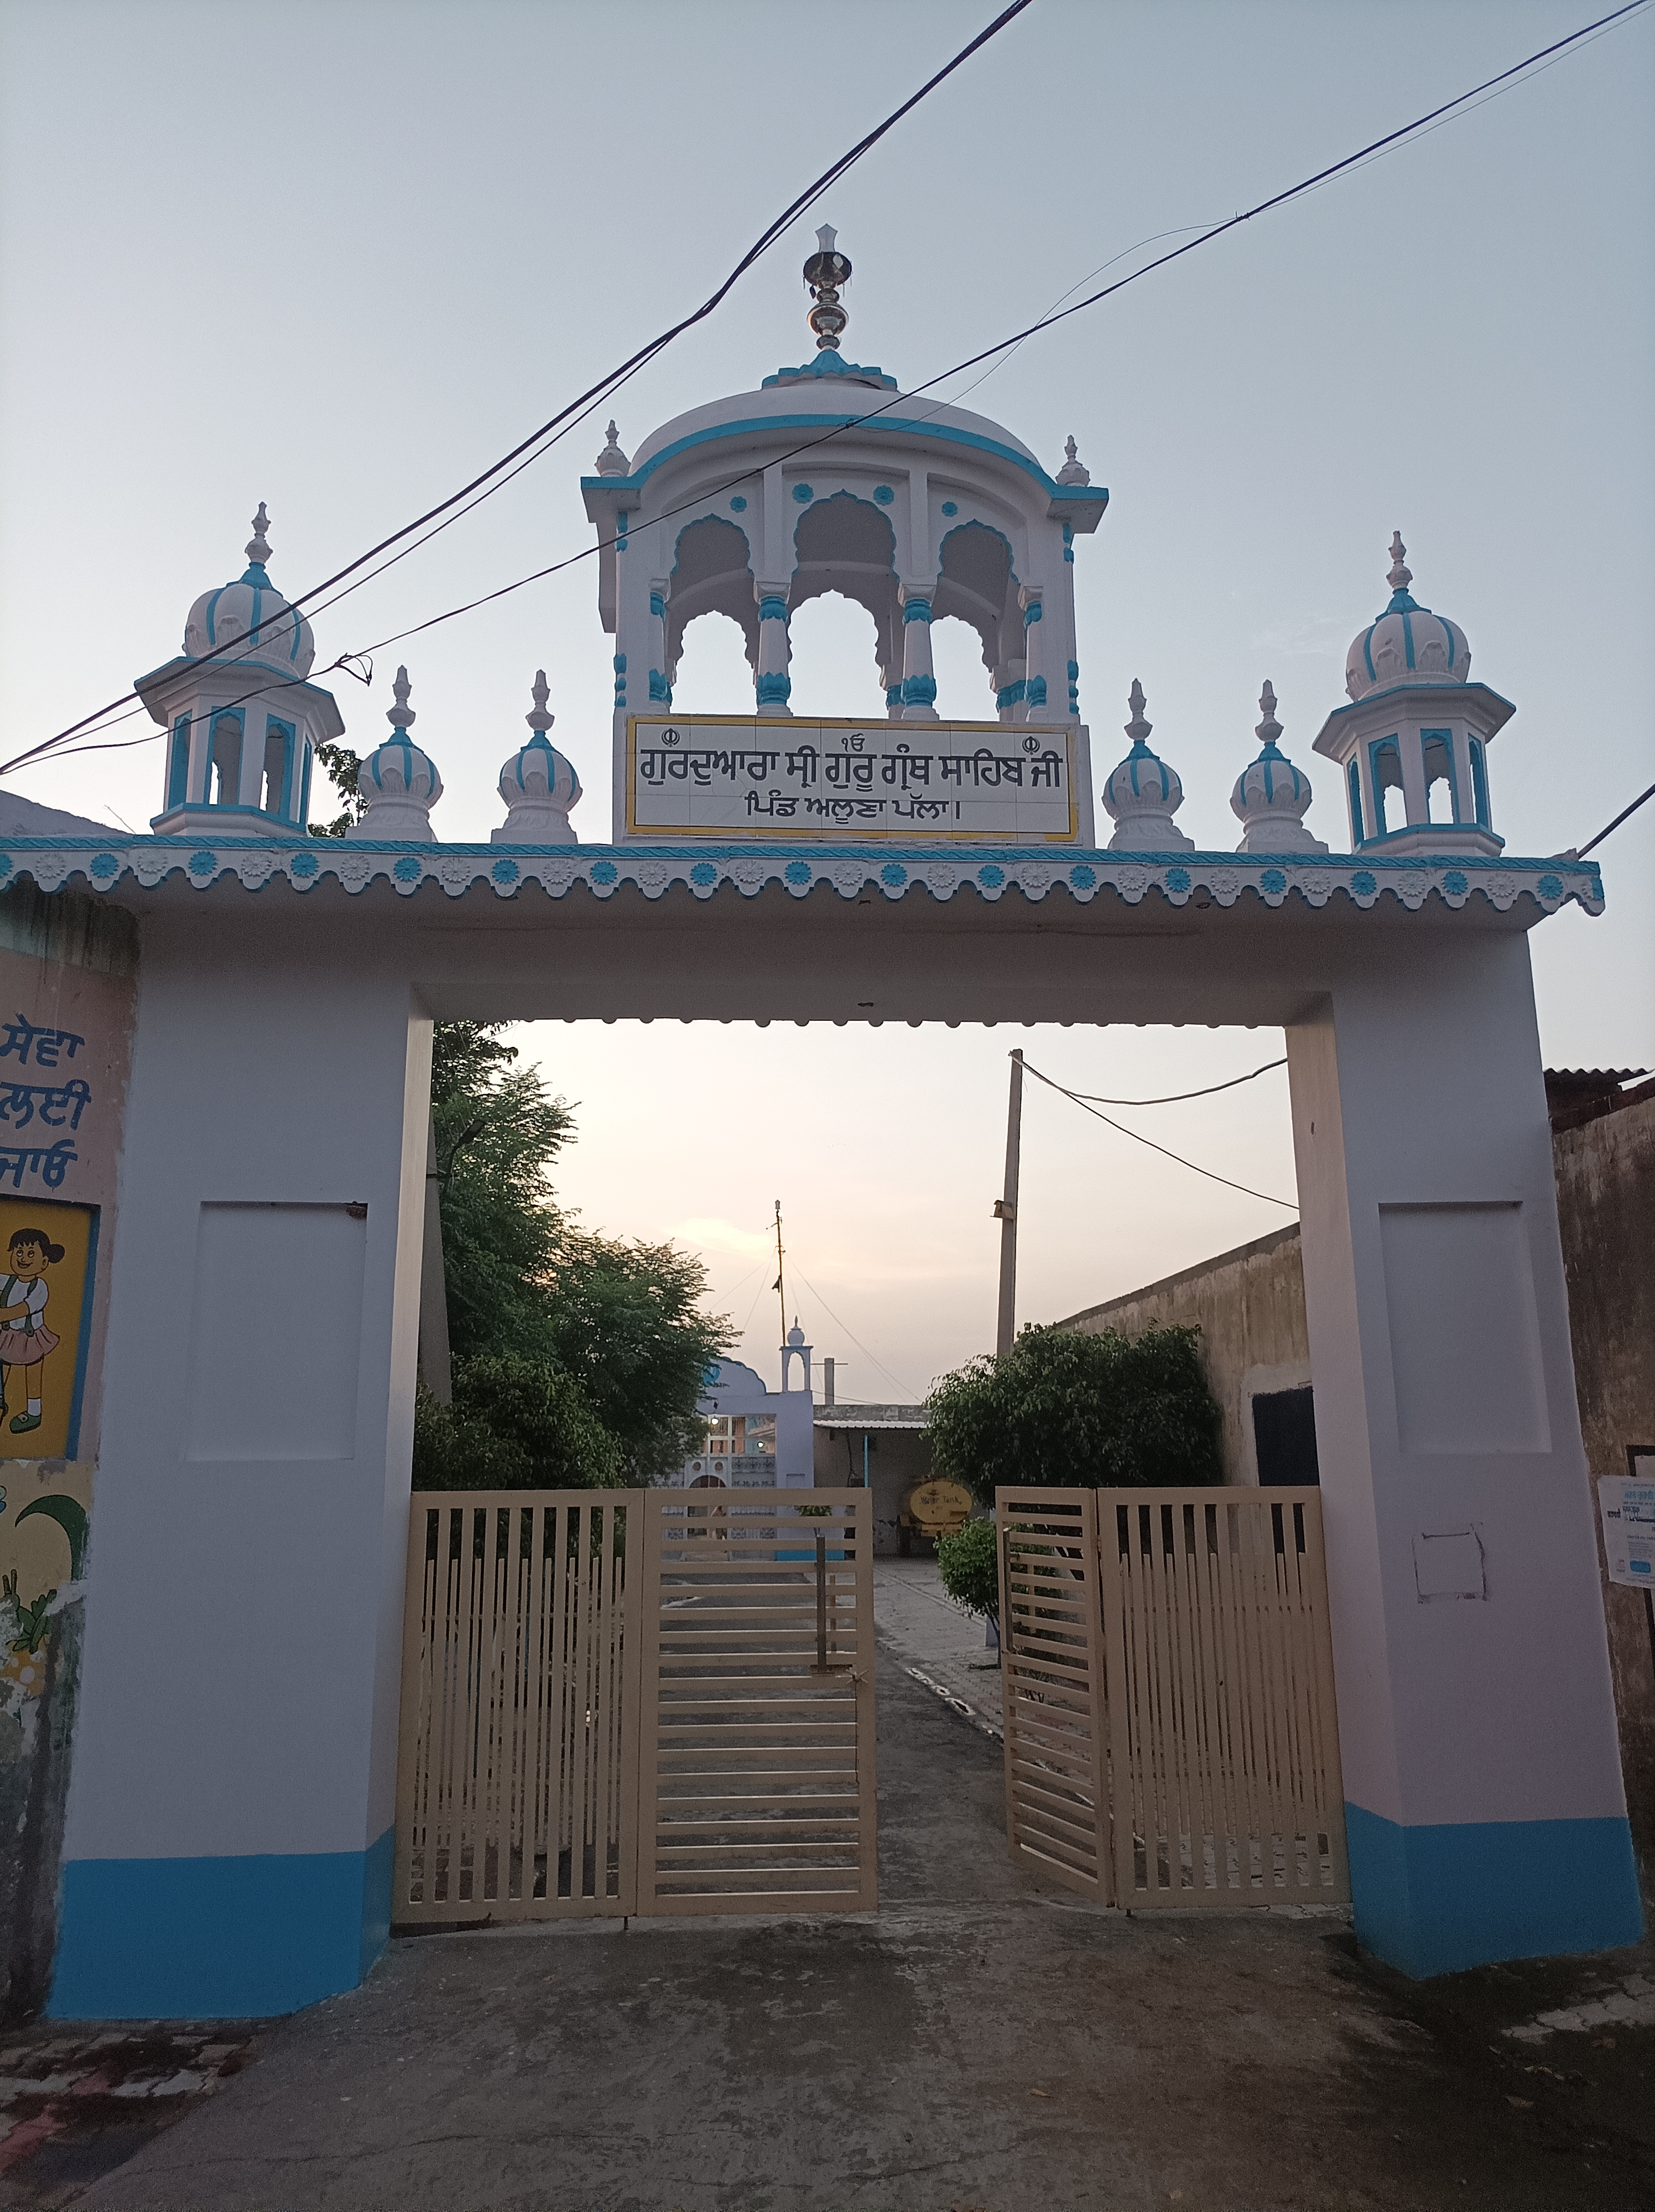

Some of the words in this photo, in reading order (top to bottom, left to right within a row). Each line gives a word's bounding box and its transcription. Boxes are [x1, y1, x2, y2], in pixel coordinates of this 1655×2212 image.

[638, 747, 782, 790] ਗੁਰਦੁਆਰਾ
[783, 740, 823, 795] ਸ੍ਰੀ
[821, 752, 879, 795] ਗੁਰੂ
[838, 731, 871, 754] ੧ਓ
[879, 738, 937, 791] ਗ੍ਰੰਥ
[936, 742, 1028, 789] ਸਾਹਿਬ
[1028, 746, 1067, 792] ਜੀ
[737, 786, 804, 821] ਪਿੰਡ
[802, 796, 890, 826] ਅਲੂਣ
[889, 790, 954, 823] ਪੱਲਾ
[1, 1006, 92, 1079] ਸੇਵਾ
[1, 1074, 98, 1140] ਲ਼ਈ
[0, 1136, 85, 1194] ਜਾਓ